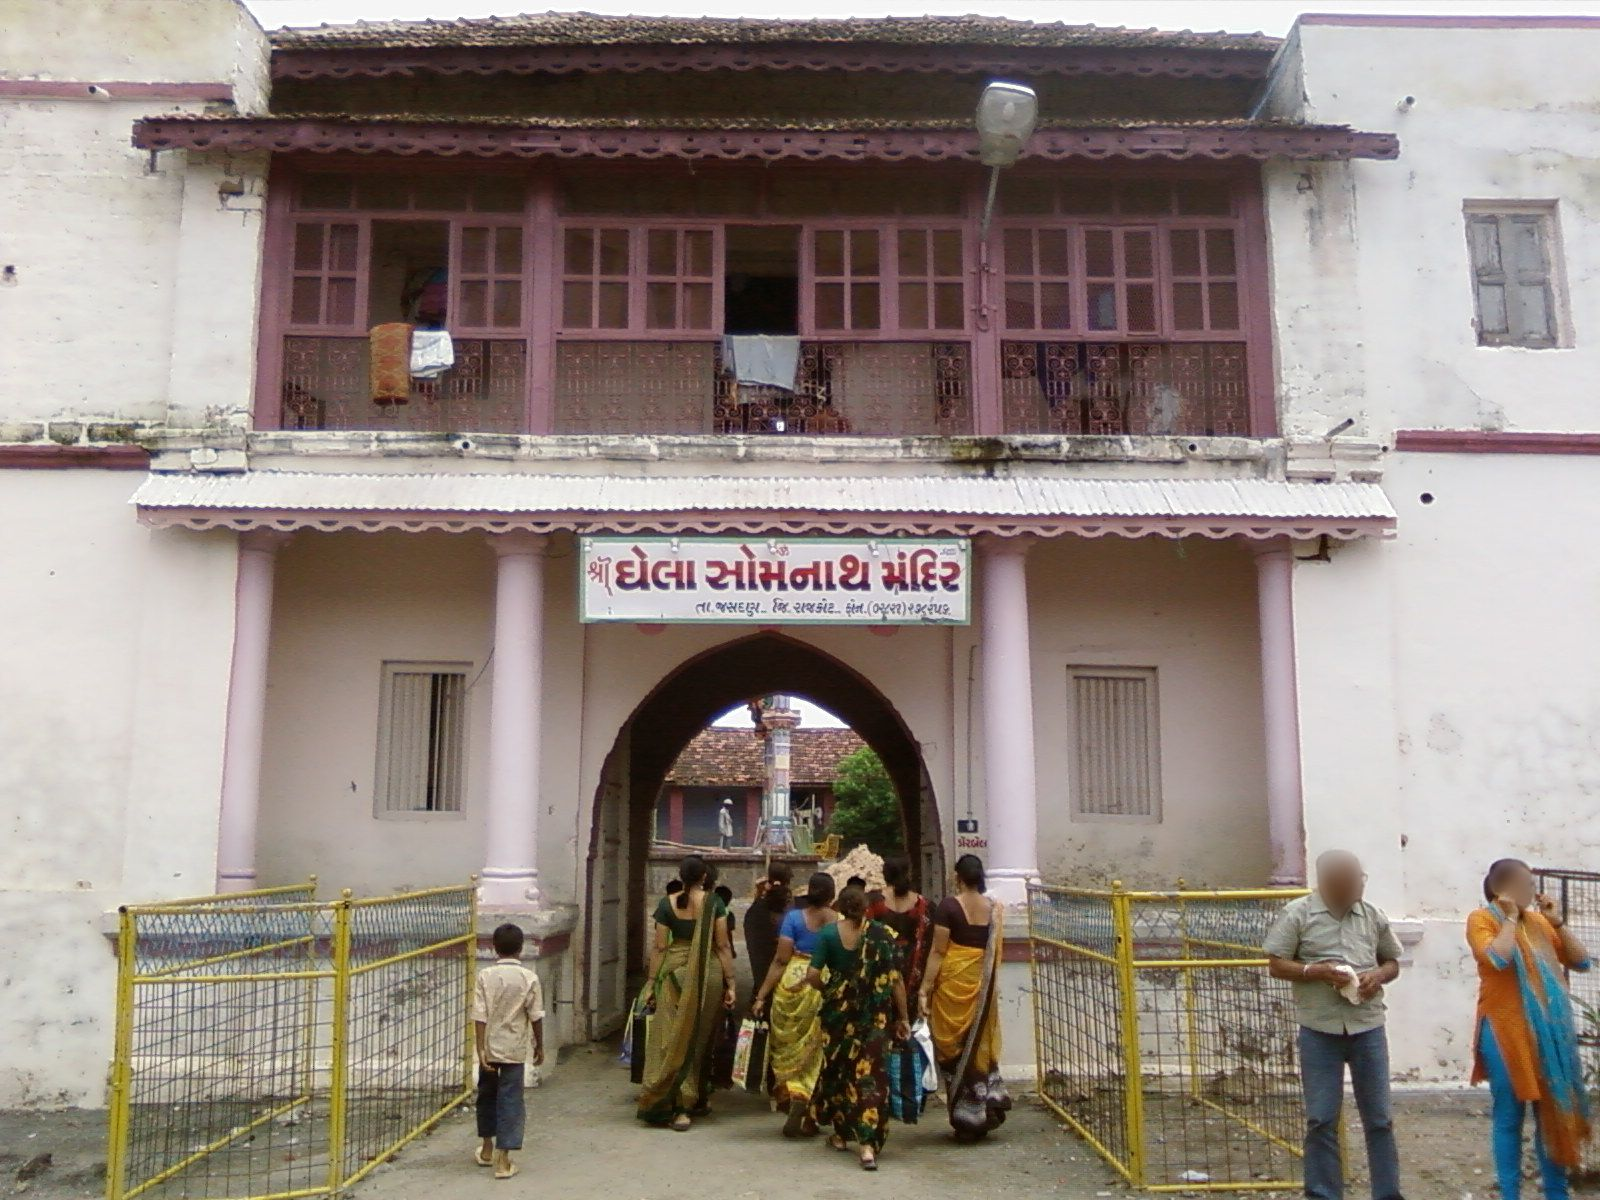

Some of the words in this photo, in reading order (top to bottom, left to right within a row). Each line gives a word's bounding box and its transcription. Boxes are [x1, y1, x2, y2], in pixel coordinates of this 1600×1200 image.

[605, 543, 698, 593] ઘેલા
[703, 553, 865, 592] સોમનાથ
[874, 545, 965, 593] મંદિર